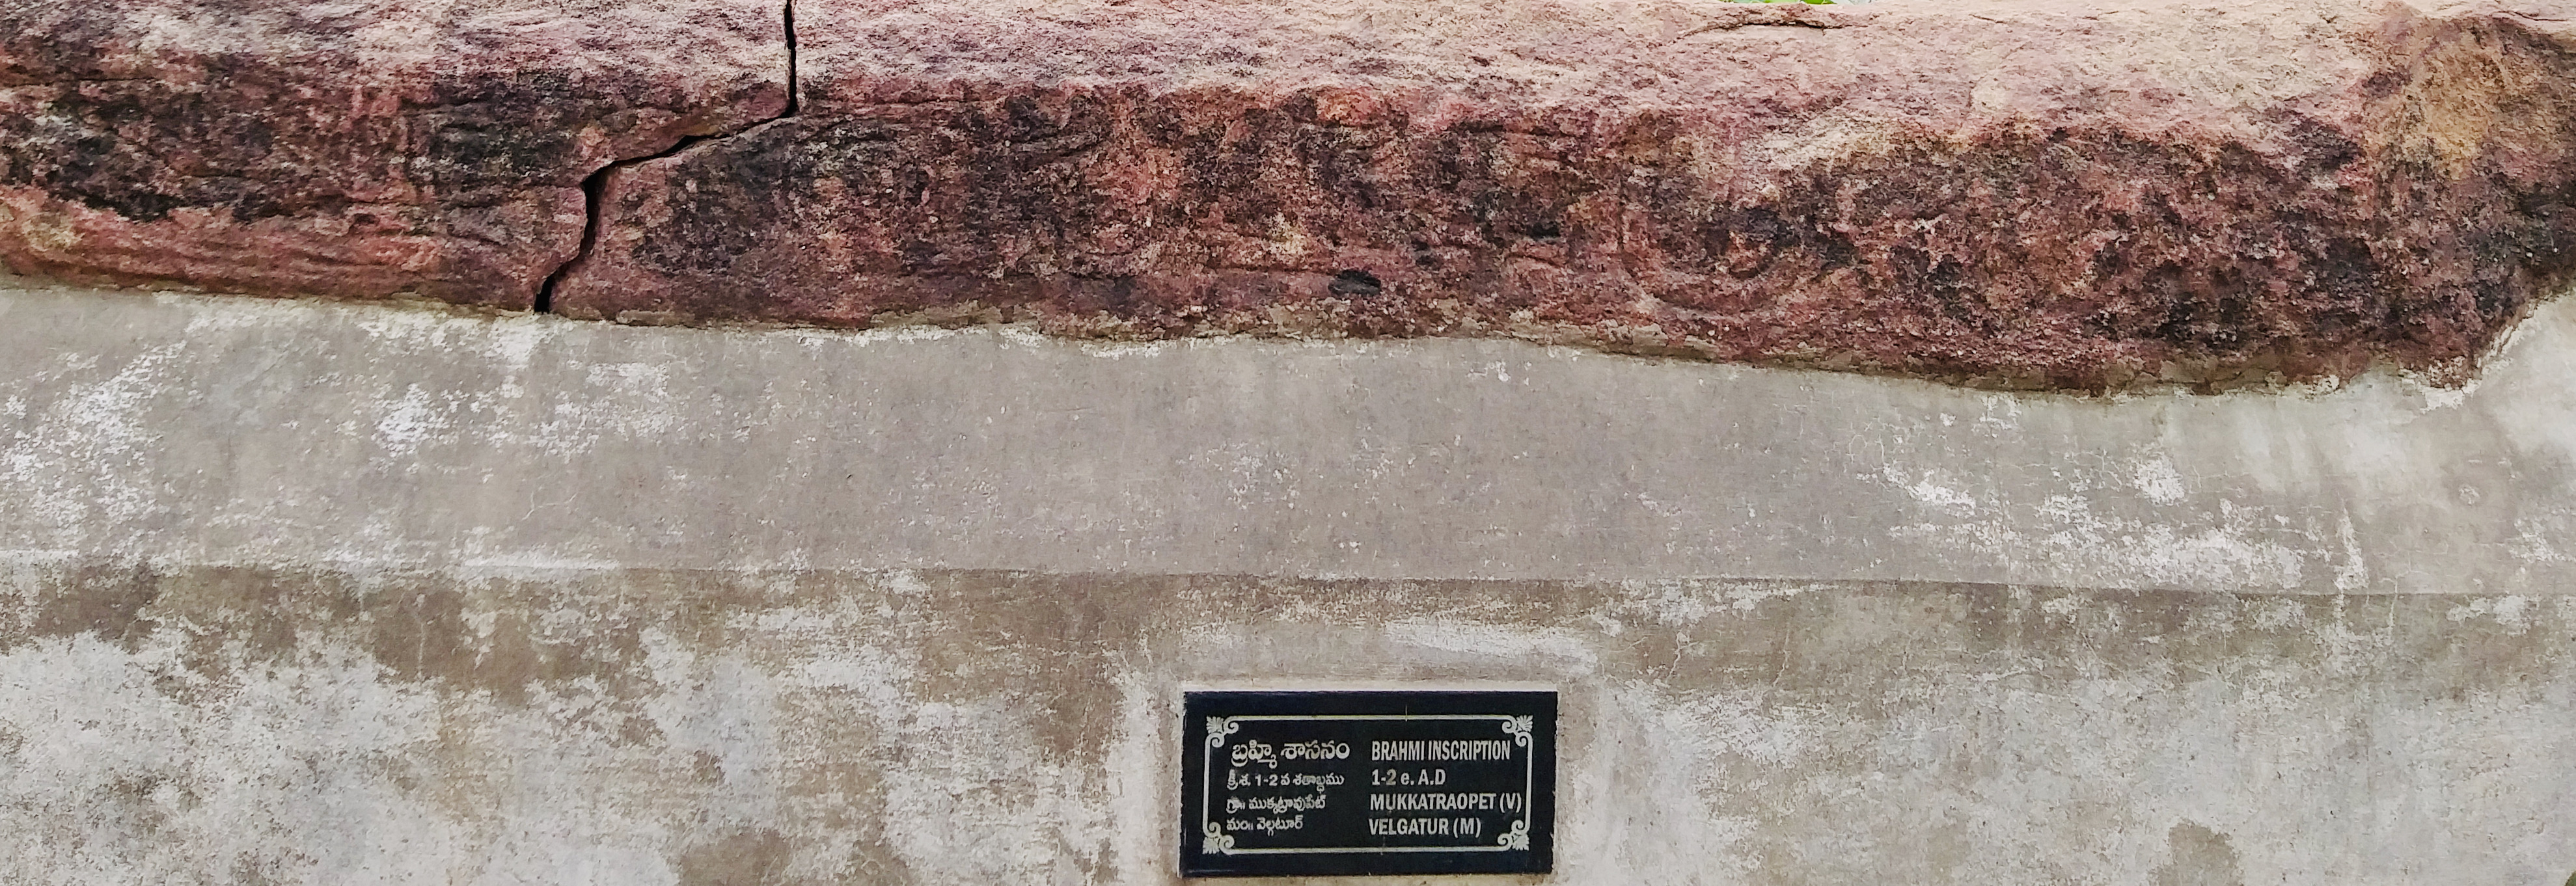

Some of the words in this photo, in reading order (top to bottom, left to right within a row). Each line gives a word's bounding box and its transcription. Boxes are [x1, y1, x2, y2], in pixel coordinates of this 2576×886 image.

[1228, 734, 1281, 772] బ్రహ్మి
[1278, 736, 1354, 764] శాసనం
[1368, 738, 1427, 763] BRAHMI
[1428, 736, 1513, 763] INSCRIPTION
[1223, 764, 1254, 792] క్రీశ,
[1252, 770, 1295, 790] 1-2వ
[1290, 768, 1348, 796] శతాబ్ధము
[1364, 766, 1399, 789] 1-2
[1399, 765, 1447, 790] e.A.D
[1246, 793, 1329, 815] ముక్కట్రావుపేట్
[1366, 790, 1498, 814] MUKKATRAOPET
[1224, 812, 1258, 833] మం॥
[1254, 812, 1308, 837] వెల్గటూర్
[1365, 815, 1452, 839] VELGATUR
[1457, 814, 1478, 839] M)